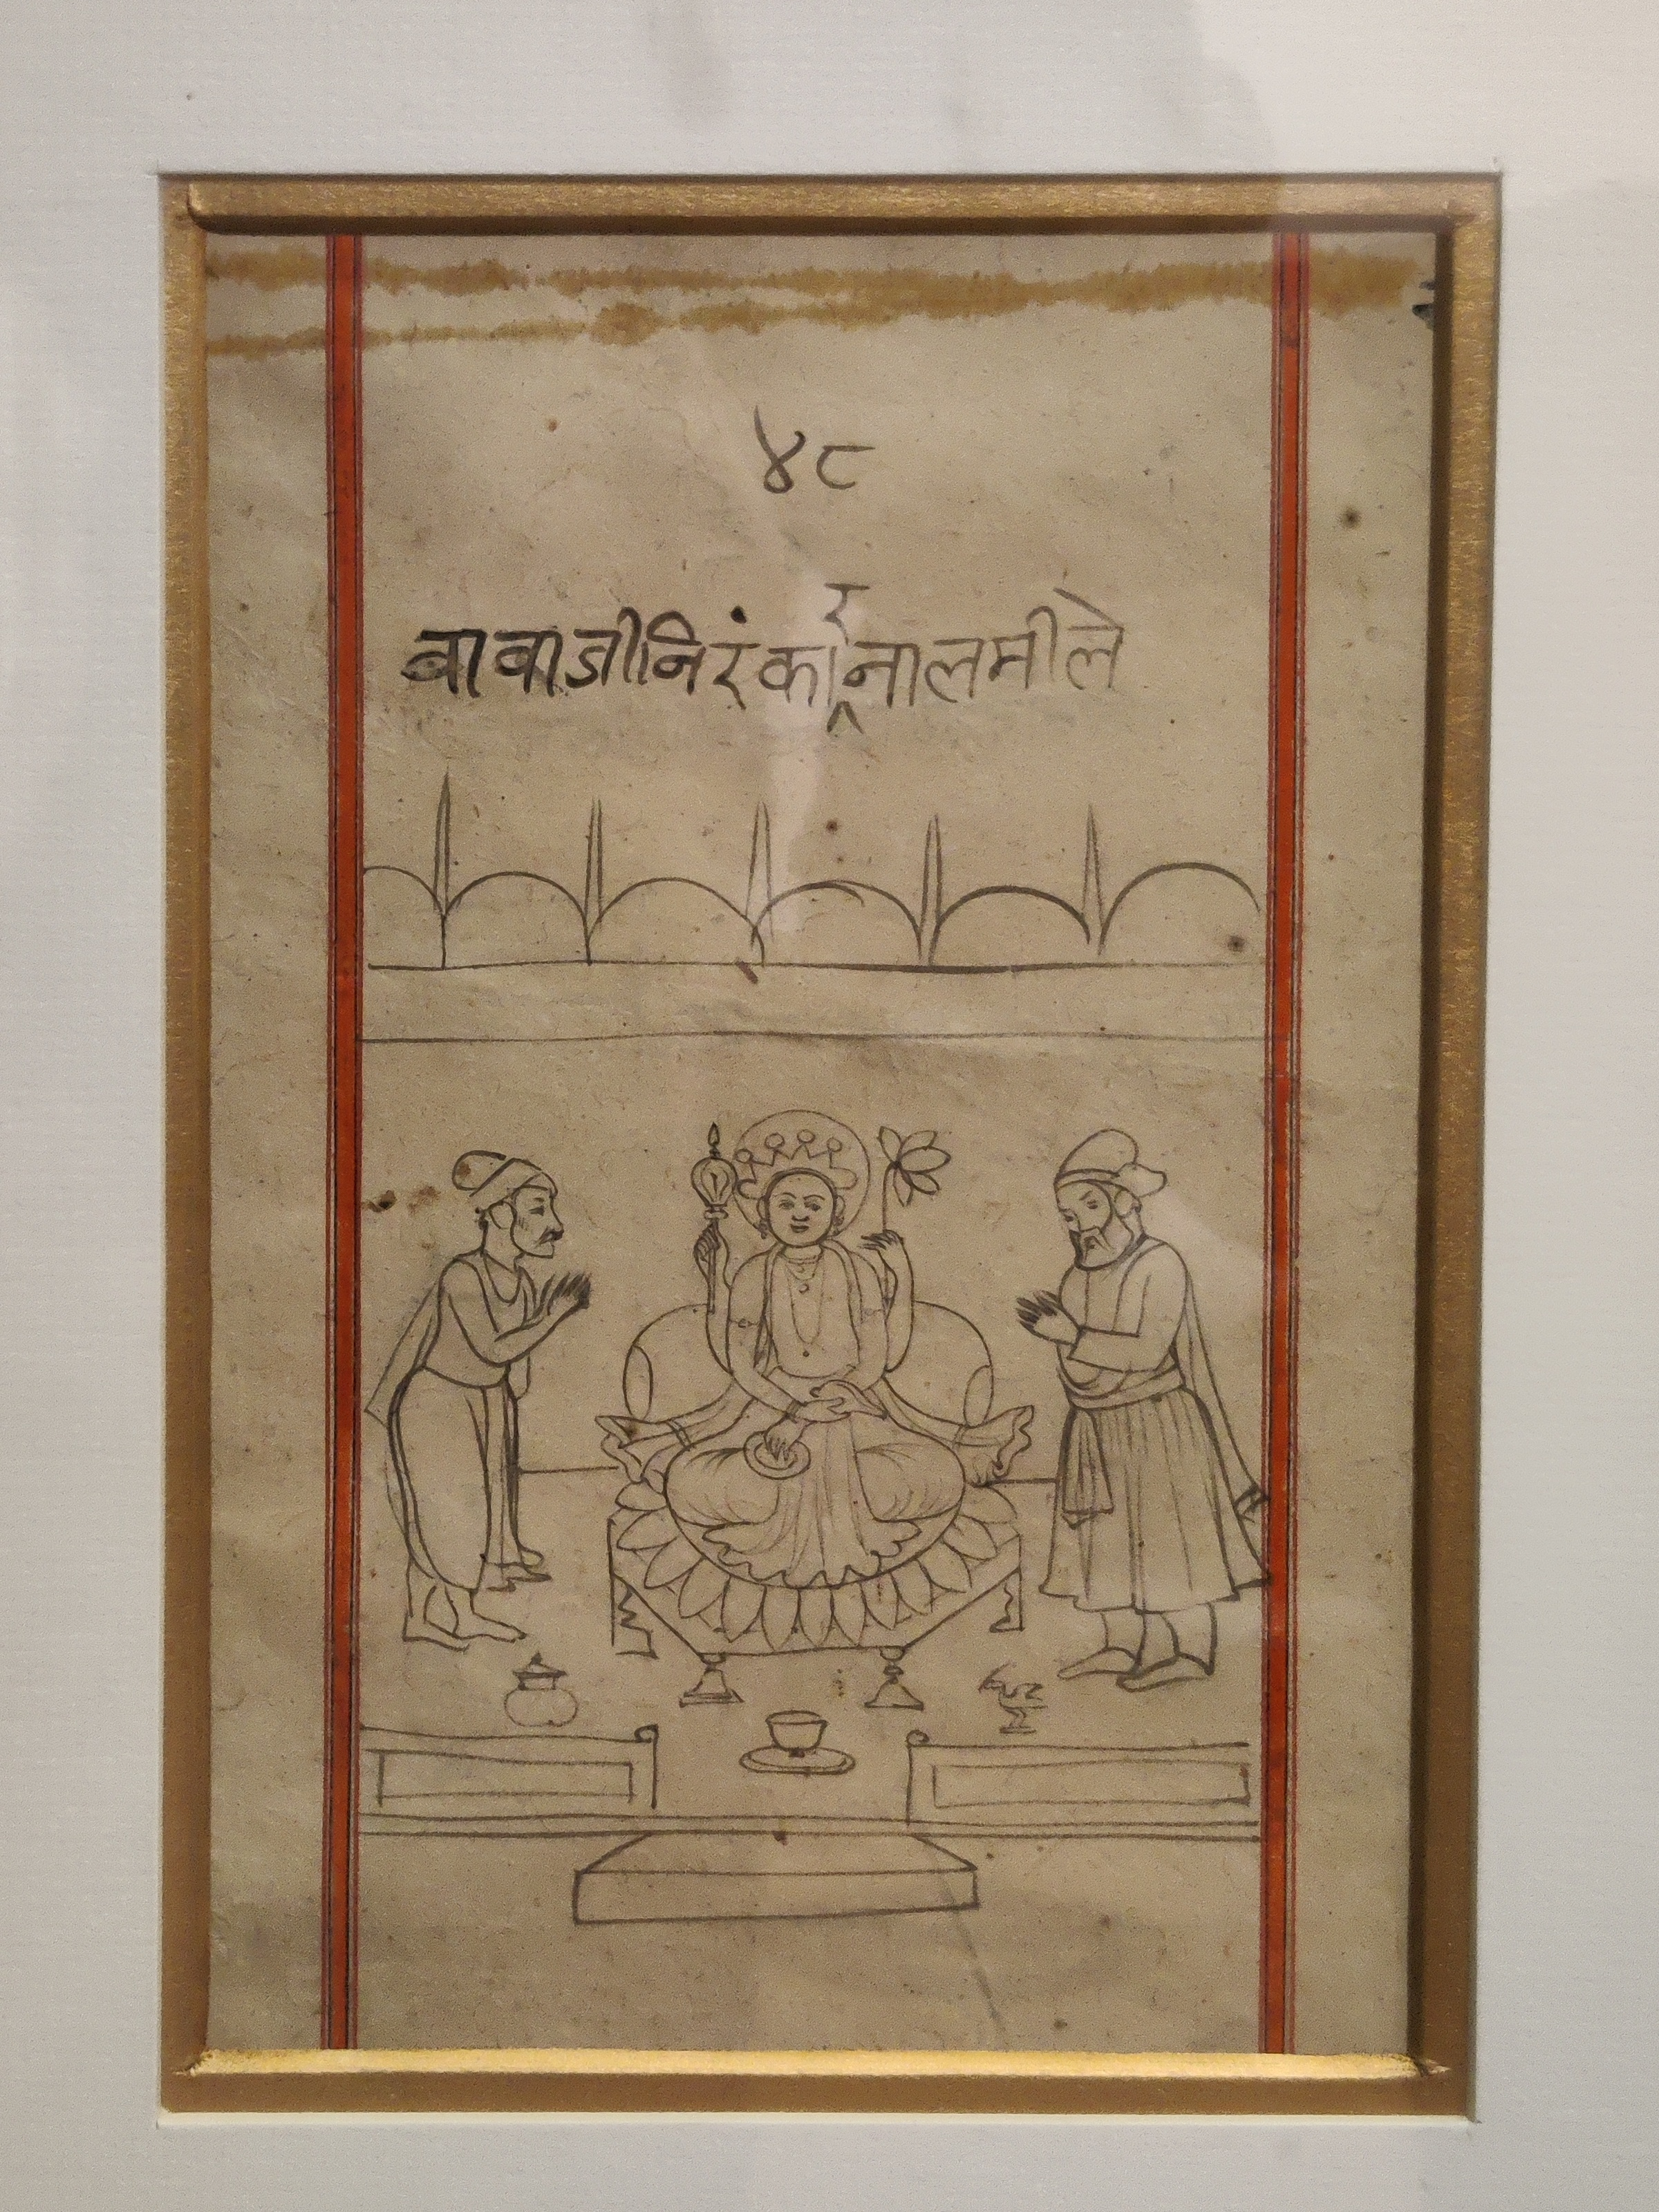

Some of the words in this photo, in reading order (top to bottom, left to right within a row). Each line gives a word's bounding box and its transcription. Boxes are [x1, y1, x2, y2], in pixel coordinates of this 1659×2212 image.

[397, 602, 760, 713] बाबाजीनिर
[750, 585, 1125, 737] कानालमील